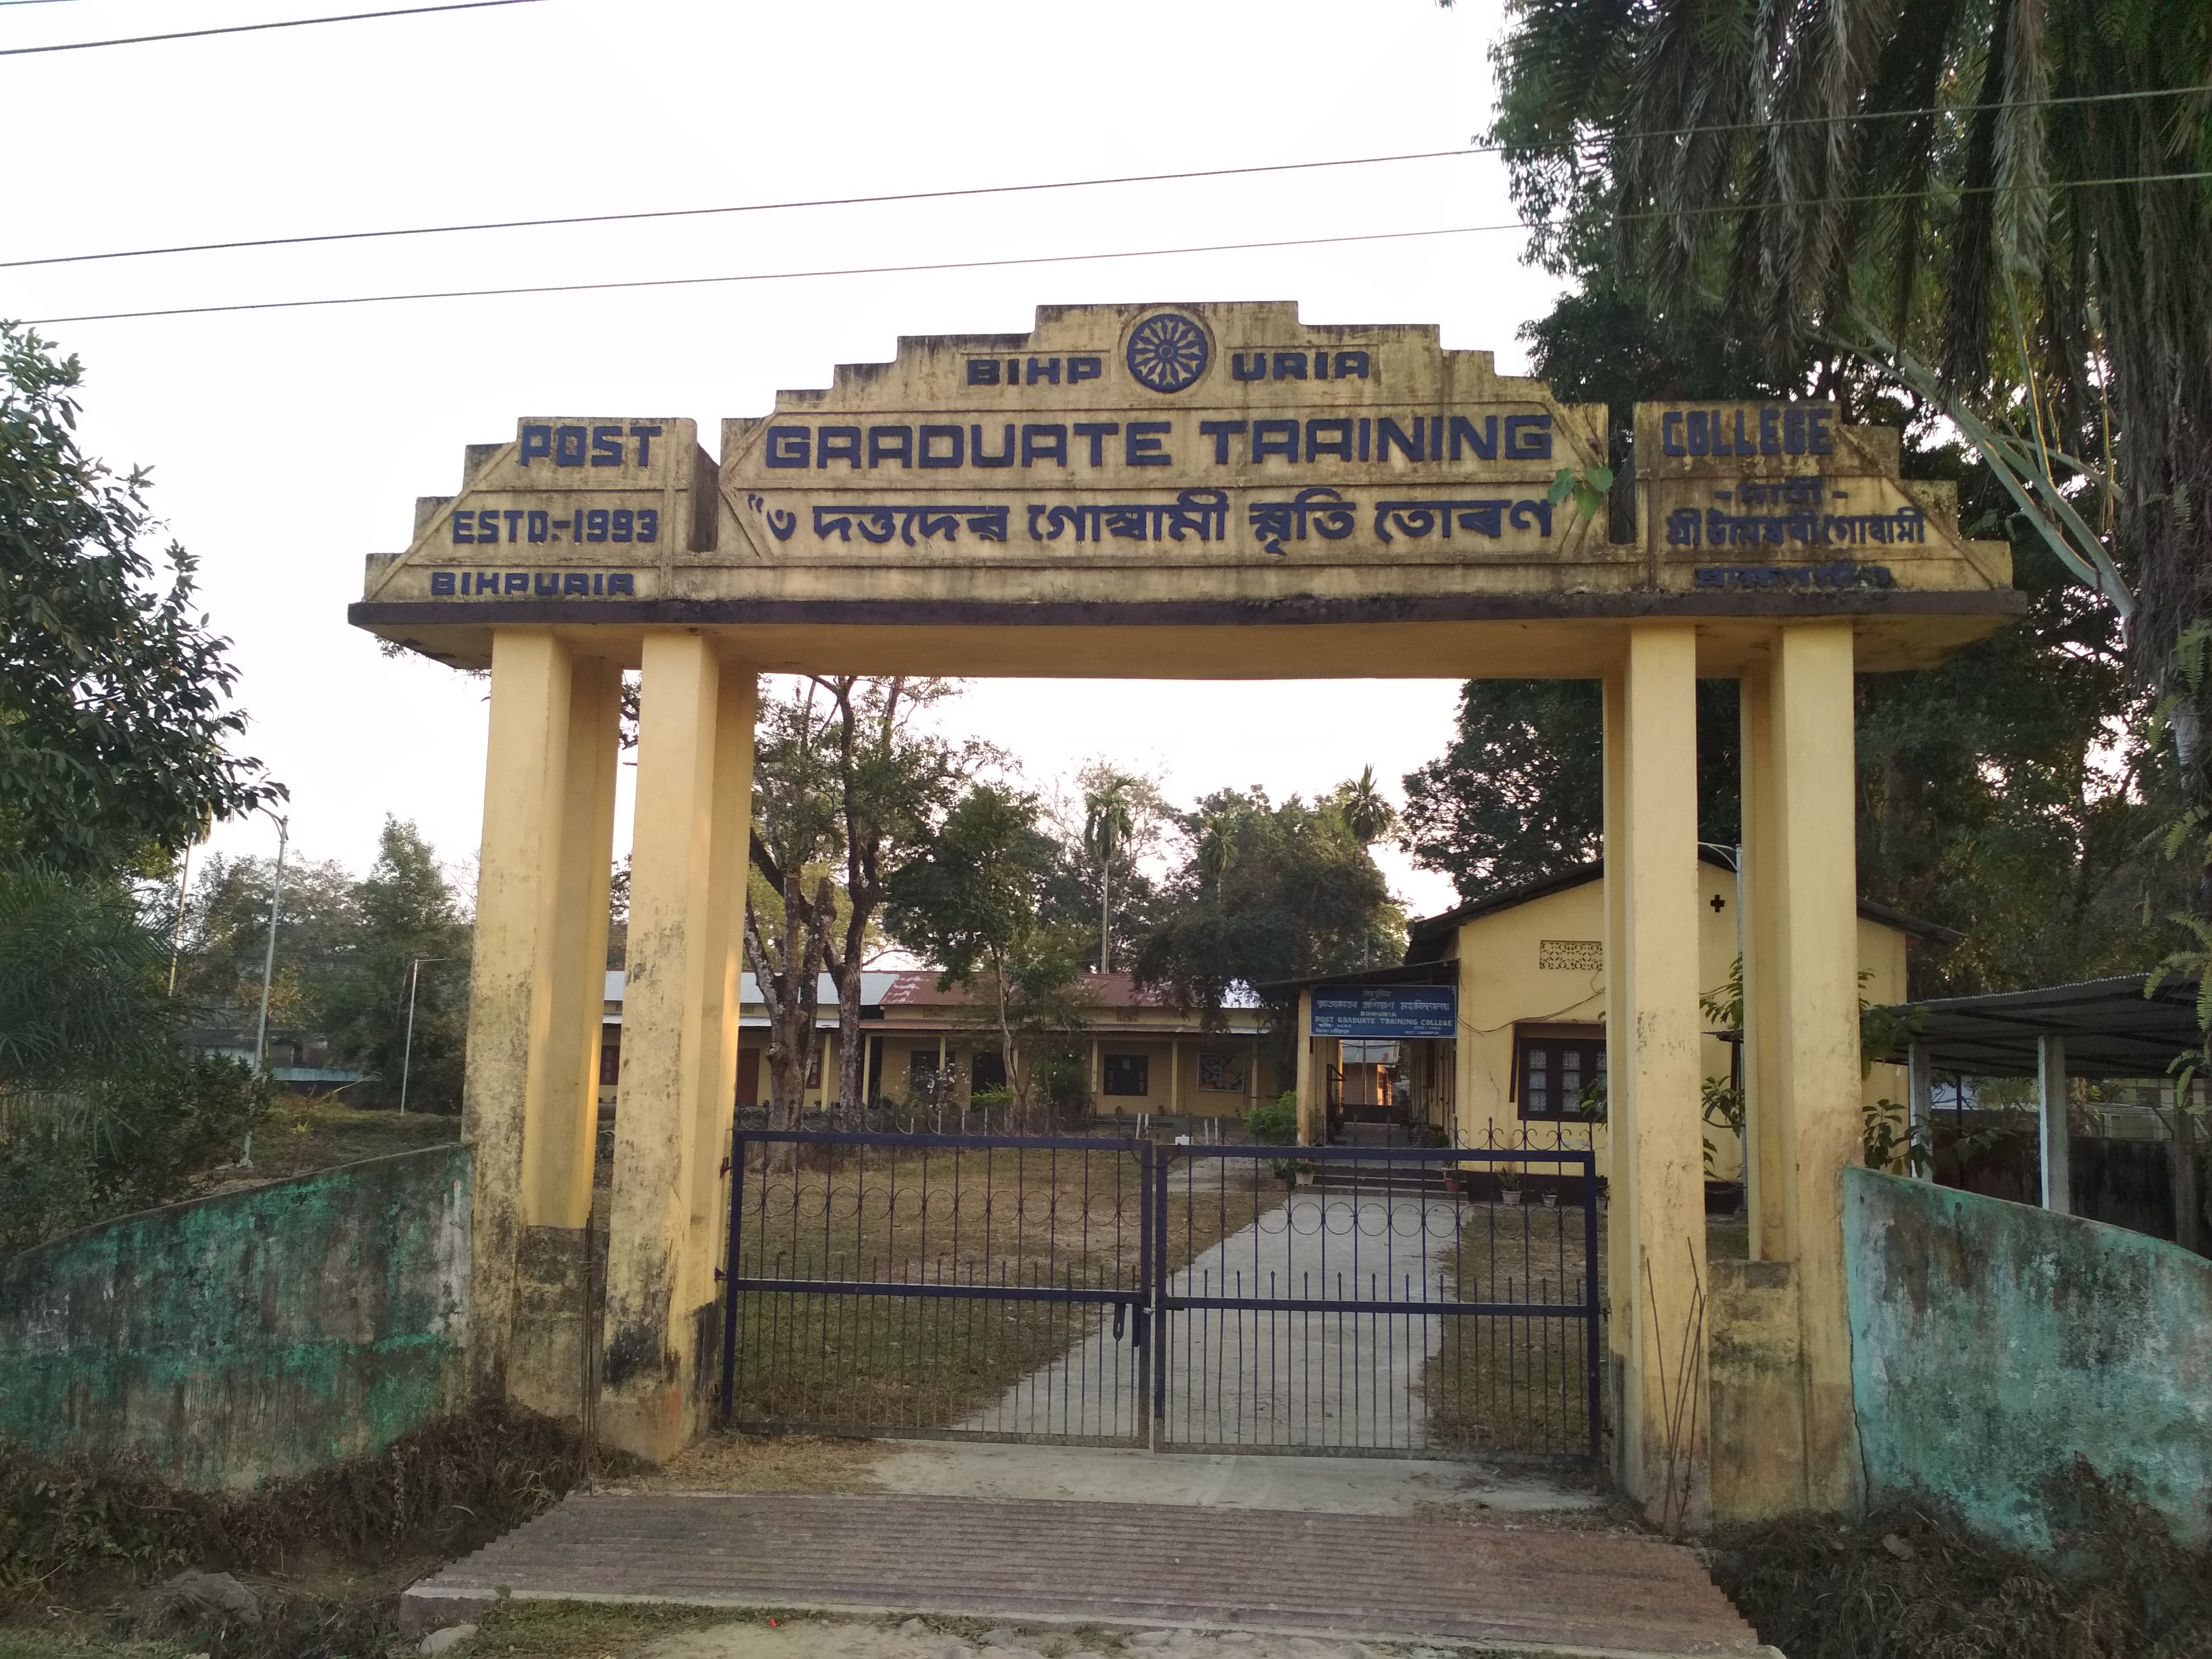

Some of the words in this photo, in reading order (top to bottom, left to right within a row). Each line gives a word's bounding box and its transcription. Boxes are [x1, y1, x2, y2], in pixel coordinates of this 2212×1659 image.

[961, 347, 1102, 386] BIHP
[1226, 342, 1376, 386] URIA
[514, 416, 668, 473] POST
[761, 413, 1177, 473] GRADUATE
[1193, 410, 1557, 469] TRAINING
[1658, 399, 1838, 462] COLLEGE
[1736, 464, 1836, 509] দাতী
[450, 502, 665, 551] ESTD-1993
[809, 499, 1016, 547] দত্তদেৱ
[1025, 482, 1231, 547] গোস্বামী
[1242, 487, 1356, 557] স্মৃতি
[1370, 491, 1559, 548] তোৰণ
[1660, 496, 1930, 551] শ্রী উন্মেষবী গোস্বামী
[426, 564, 638, 604] BIHPURIA
[1312, 1010, 1337, 1026] POST
[1314, 996, 1360, 1011] স্নাতকোতৰ
[1332, 1014, 1378, 1026] GRADUATE
[1360, 993, 1397, 1013] প্রশিক্ষণ
[1358, 1008, 1400, 1019] BIHPURIA
[1378, 1015, 1421, 1028] TRAINING
[1399, 996, 1452, 1012] মহাবিদ্যালয়
[1418, 1017, 1455, 1028] COLLEGE